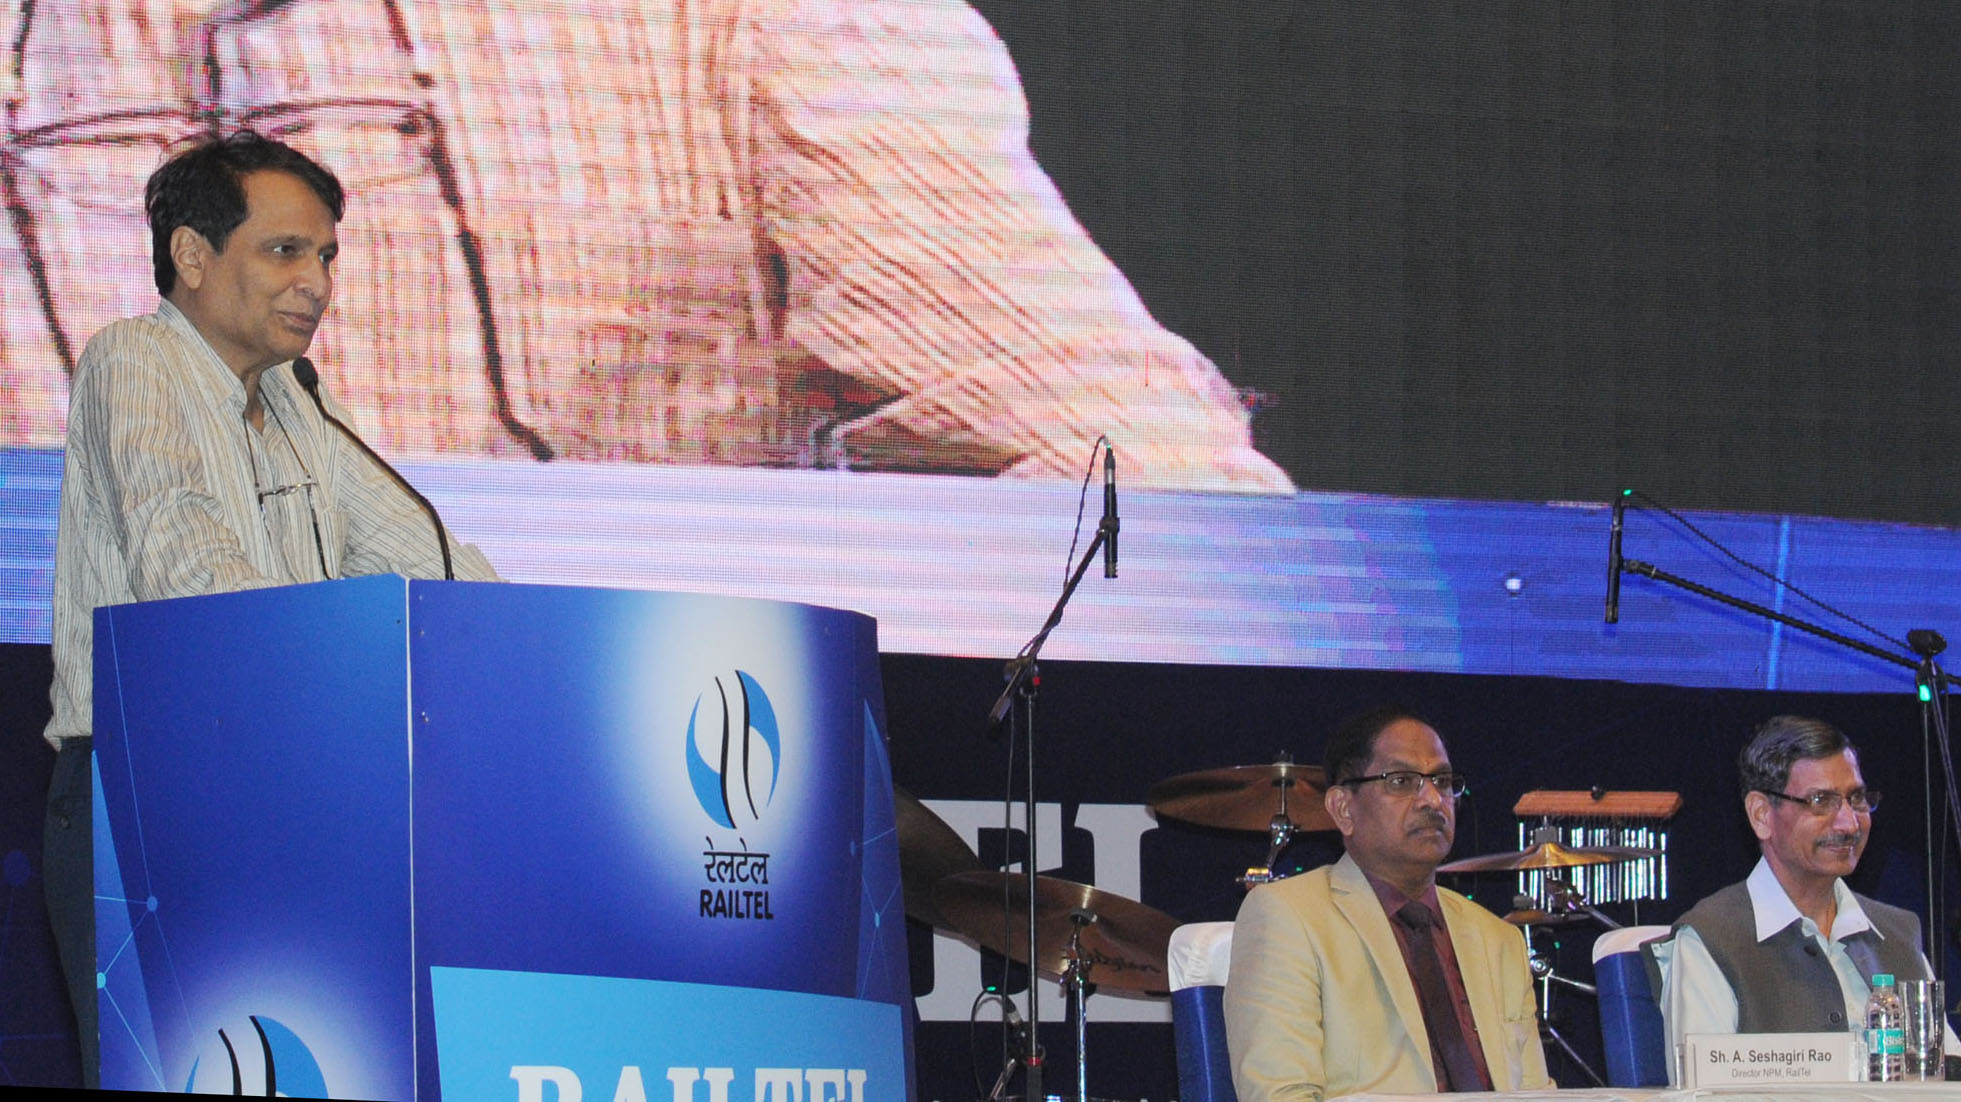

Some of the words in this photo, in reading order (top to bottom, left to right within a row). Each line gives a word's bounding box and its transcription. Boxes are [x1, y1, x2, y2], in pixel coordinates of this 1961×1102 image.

[701, 832, 771, 883] रेलटेल
[699, 887, 775, 921] RAILTEL
[1707, 1047, 1731, 1065] Sh.
[1744, 1047, 1806, 1069] Seshagiri
[1805, 1045, 1835, 1063] Rao